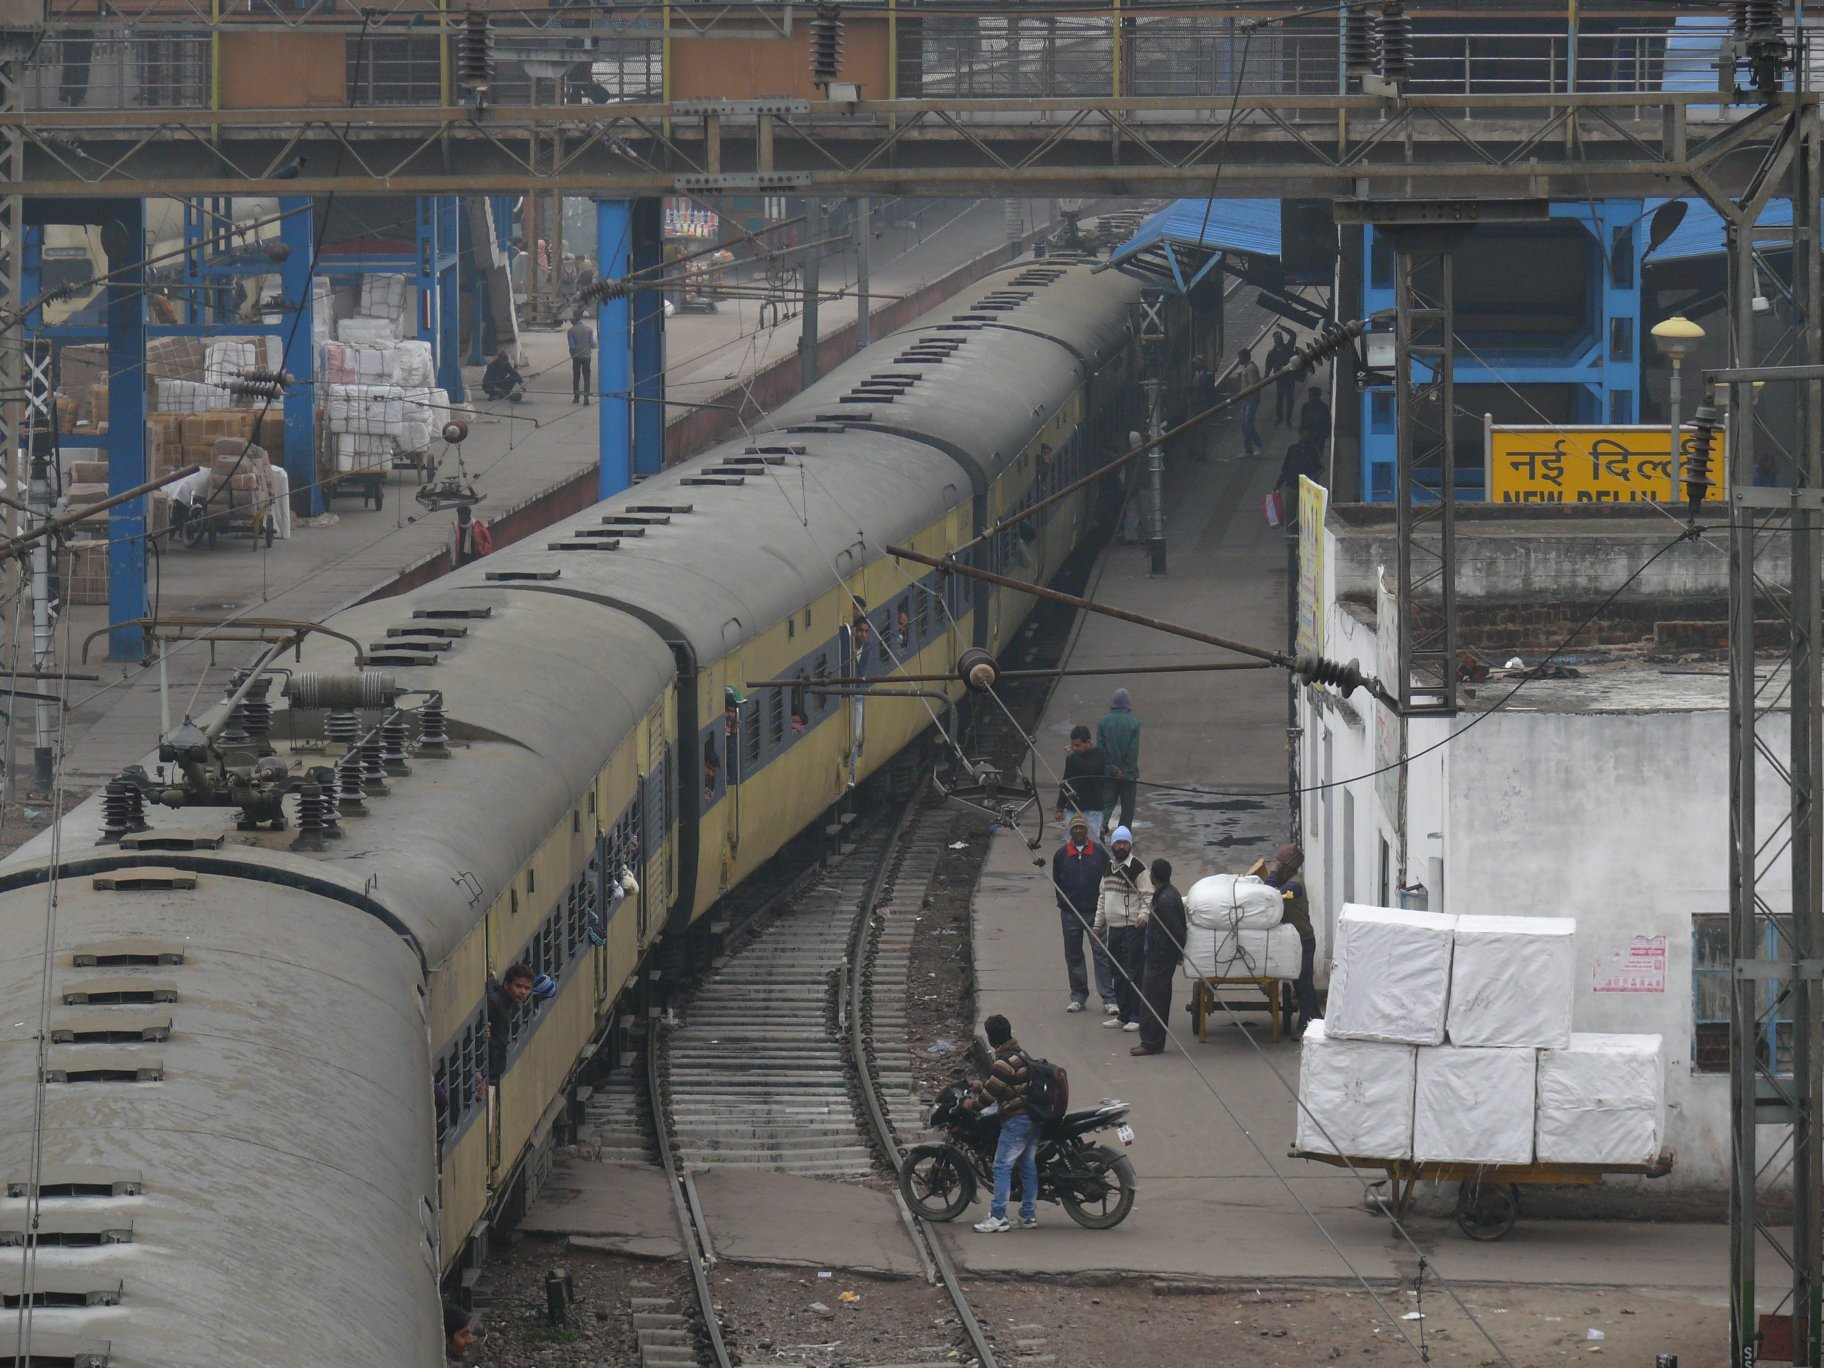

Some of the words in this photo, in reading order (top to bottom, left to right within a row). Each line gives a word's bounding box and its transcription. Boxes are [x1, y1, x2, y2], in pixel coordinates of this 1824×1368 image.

[1505, 438, 1568, 487] नई
[1590, 437, 1698, 482] दिल्ली